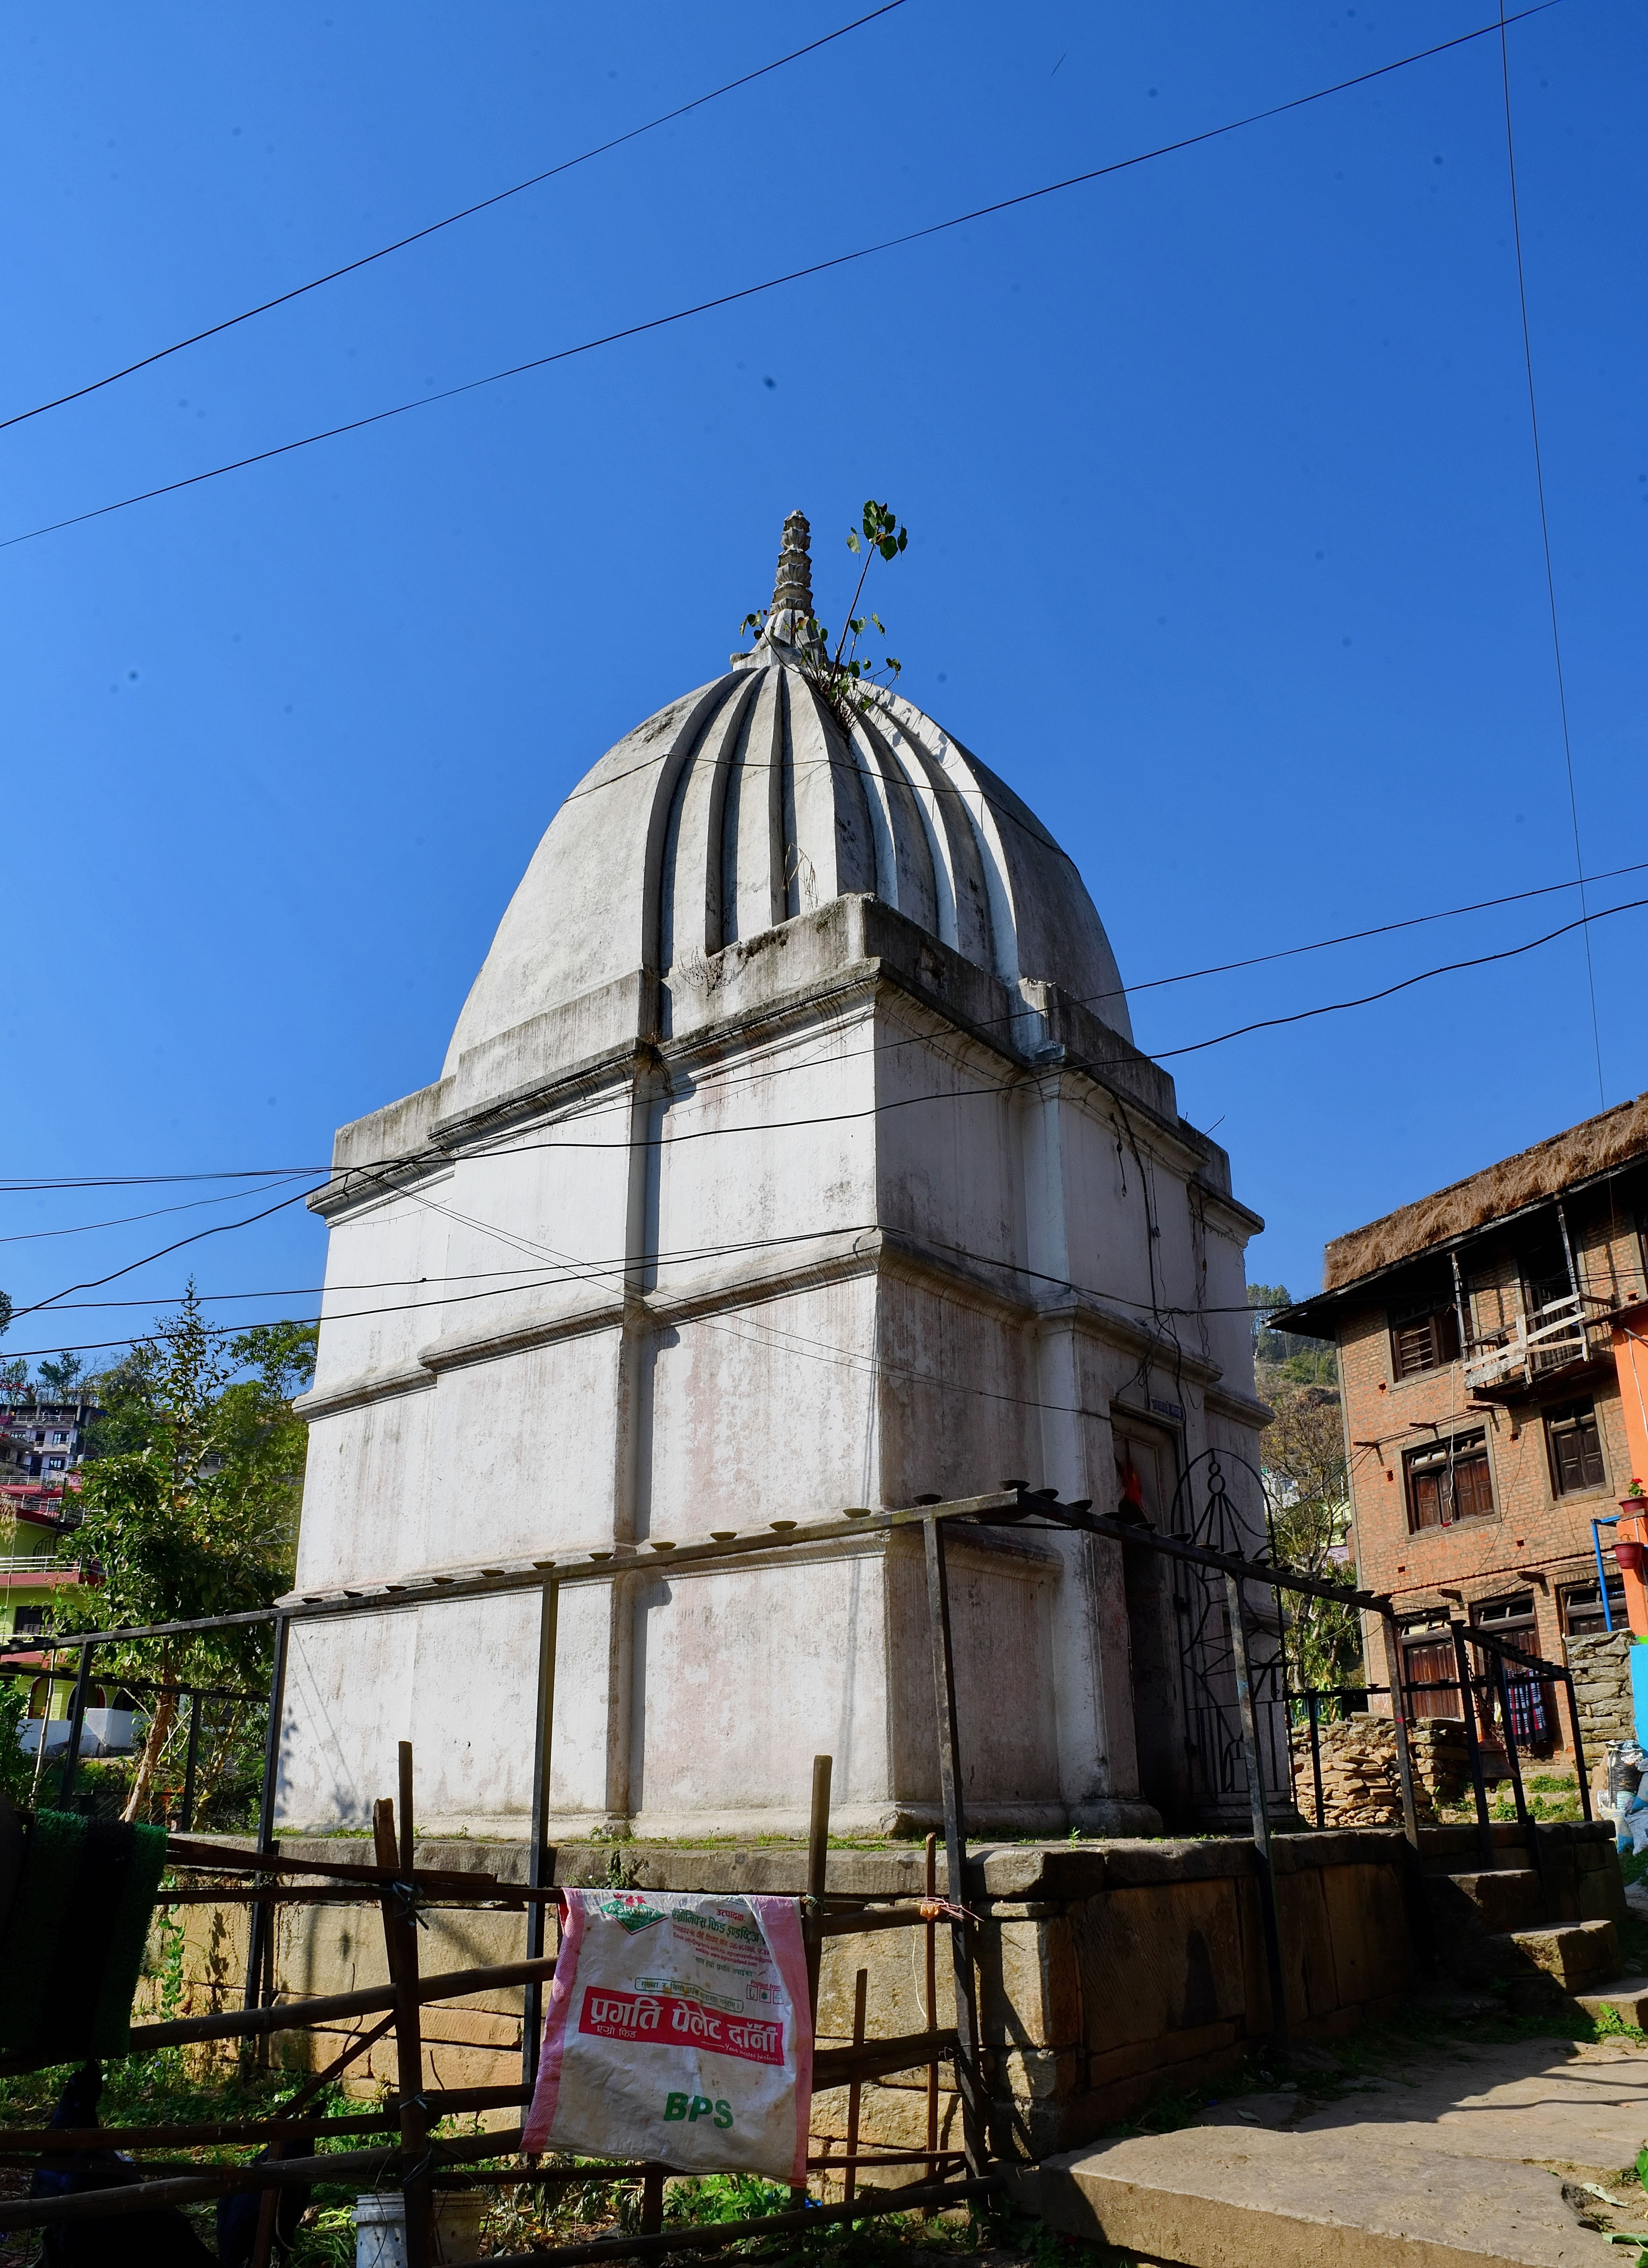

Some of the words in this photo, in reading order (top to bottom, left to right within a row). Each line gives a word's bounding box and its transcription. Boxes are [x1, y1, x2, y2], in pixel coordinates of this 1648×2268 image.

[668, 1907, 708, 1929] एंग्रोमिक्स
[707, 1915, 726, 1934] फिड
[715, 1907, 747, 1922] उत्पादक
[726, 1923, 761, 1944] इण्डष्ट्रिज
[594, 2022, 616, 2036] एग्रो
[584, 1994, 667, 2030] प्रगति
[617, 2026, 638, 2040] फिड
[668, 1998, 726, 2043] पेलेट
[725, 2021, 782, 2055] दॉनी
[654, 2083, 736, 2136] BPS